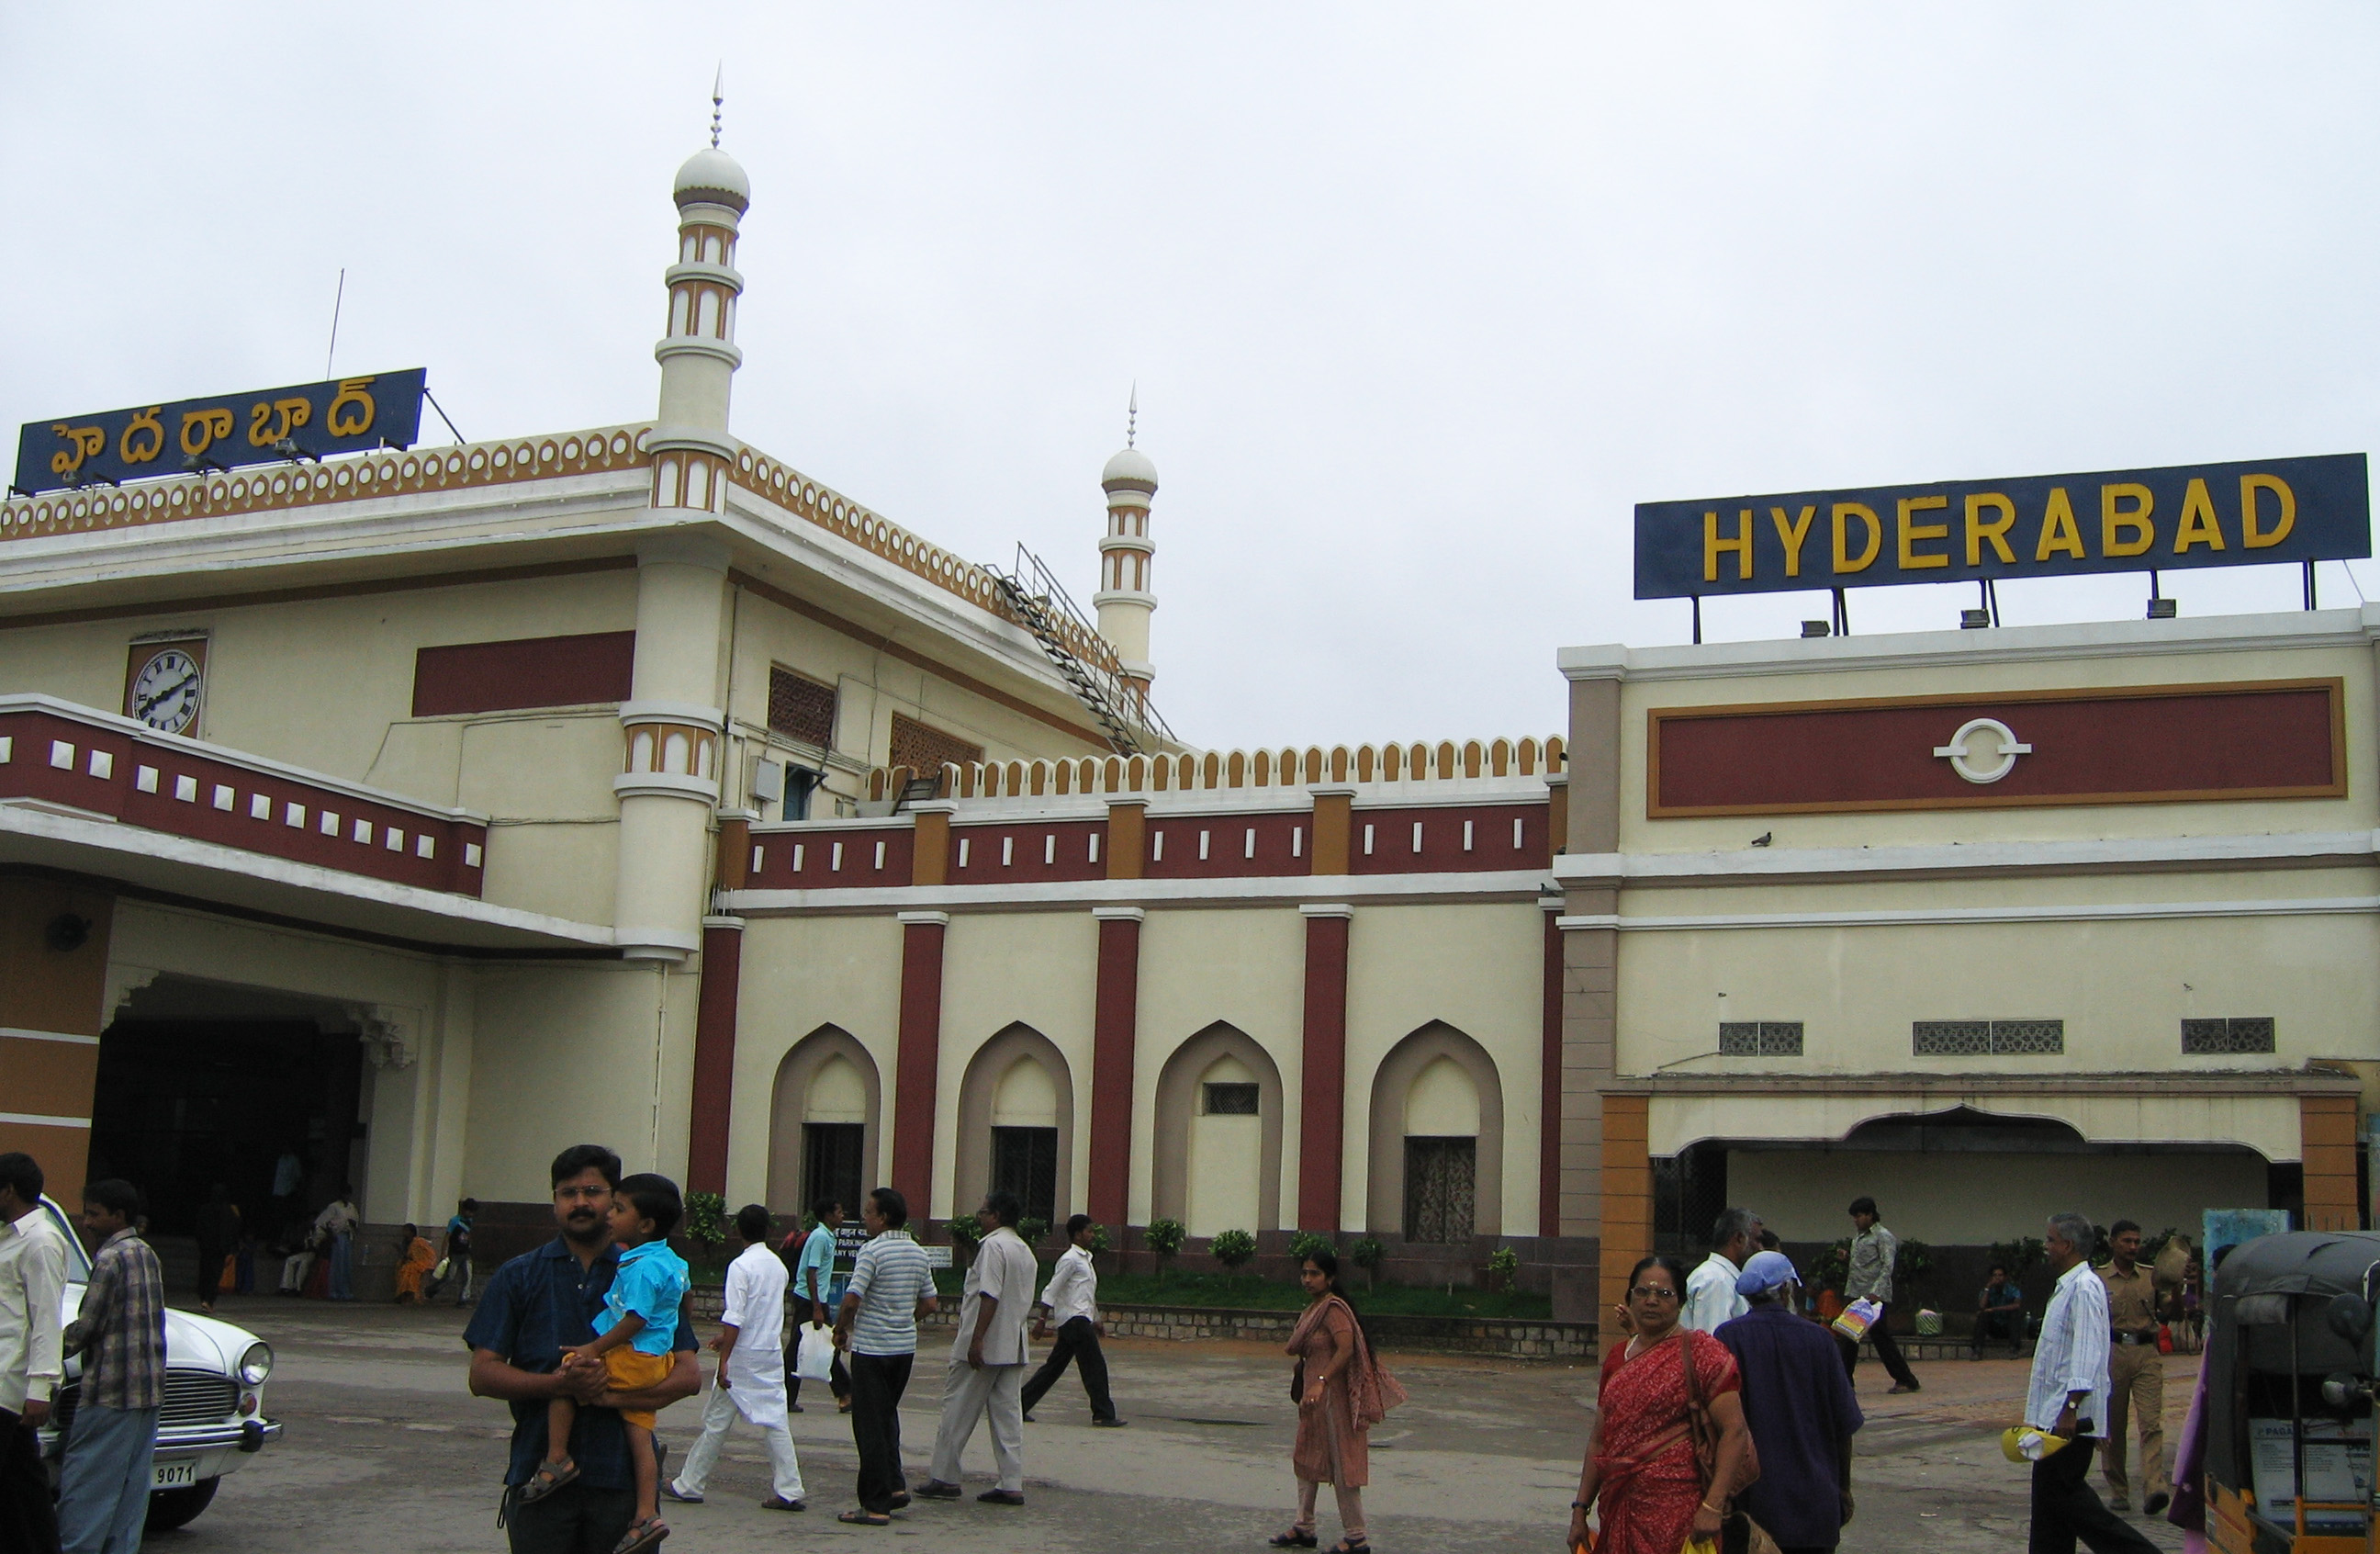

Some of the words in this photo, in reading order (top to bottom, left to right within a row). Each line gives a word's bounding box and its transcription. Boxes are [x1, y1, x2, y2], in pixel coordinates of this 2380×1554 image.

[40, 364, 390, 481] హైదరాబాద్
[1698, 462, 2301, 587] HYDERABAD